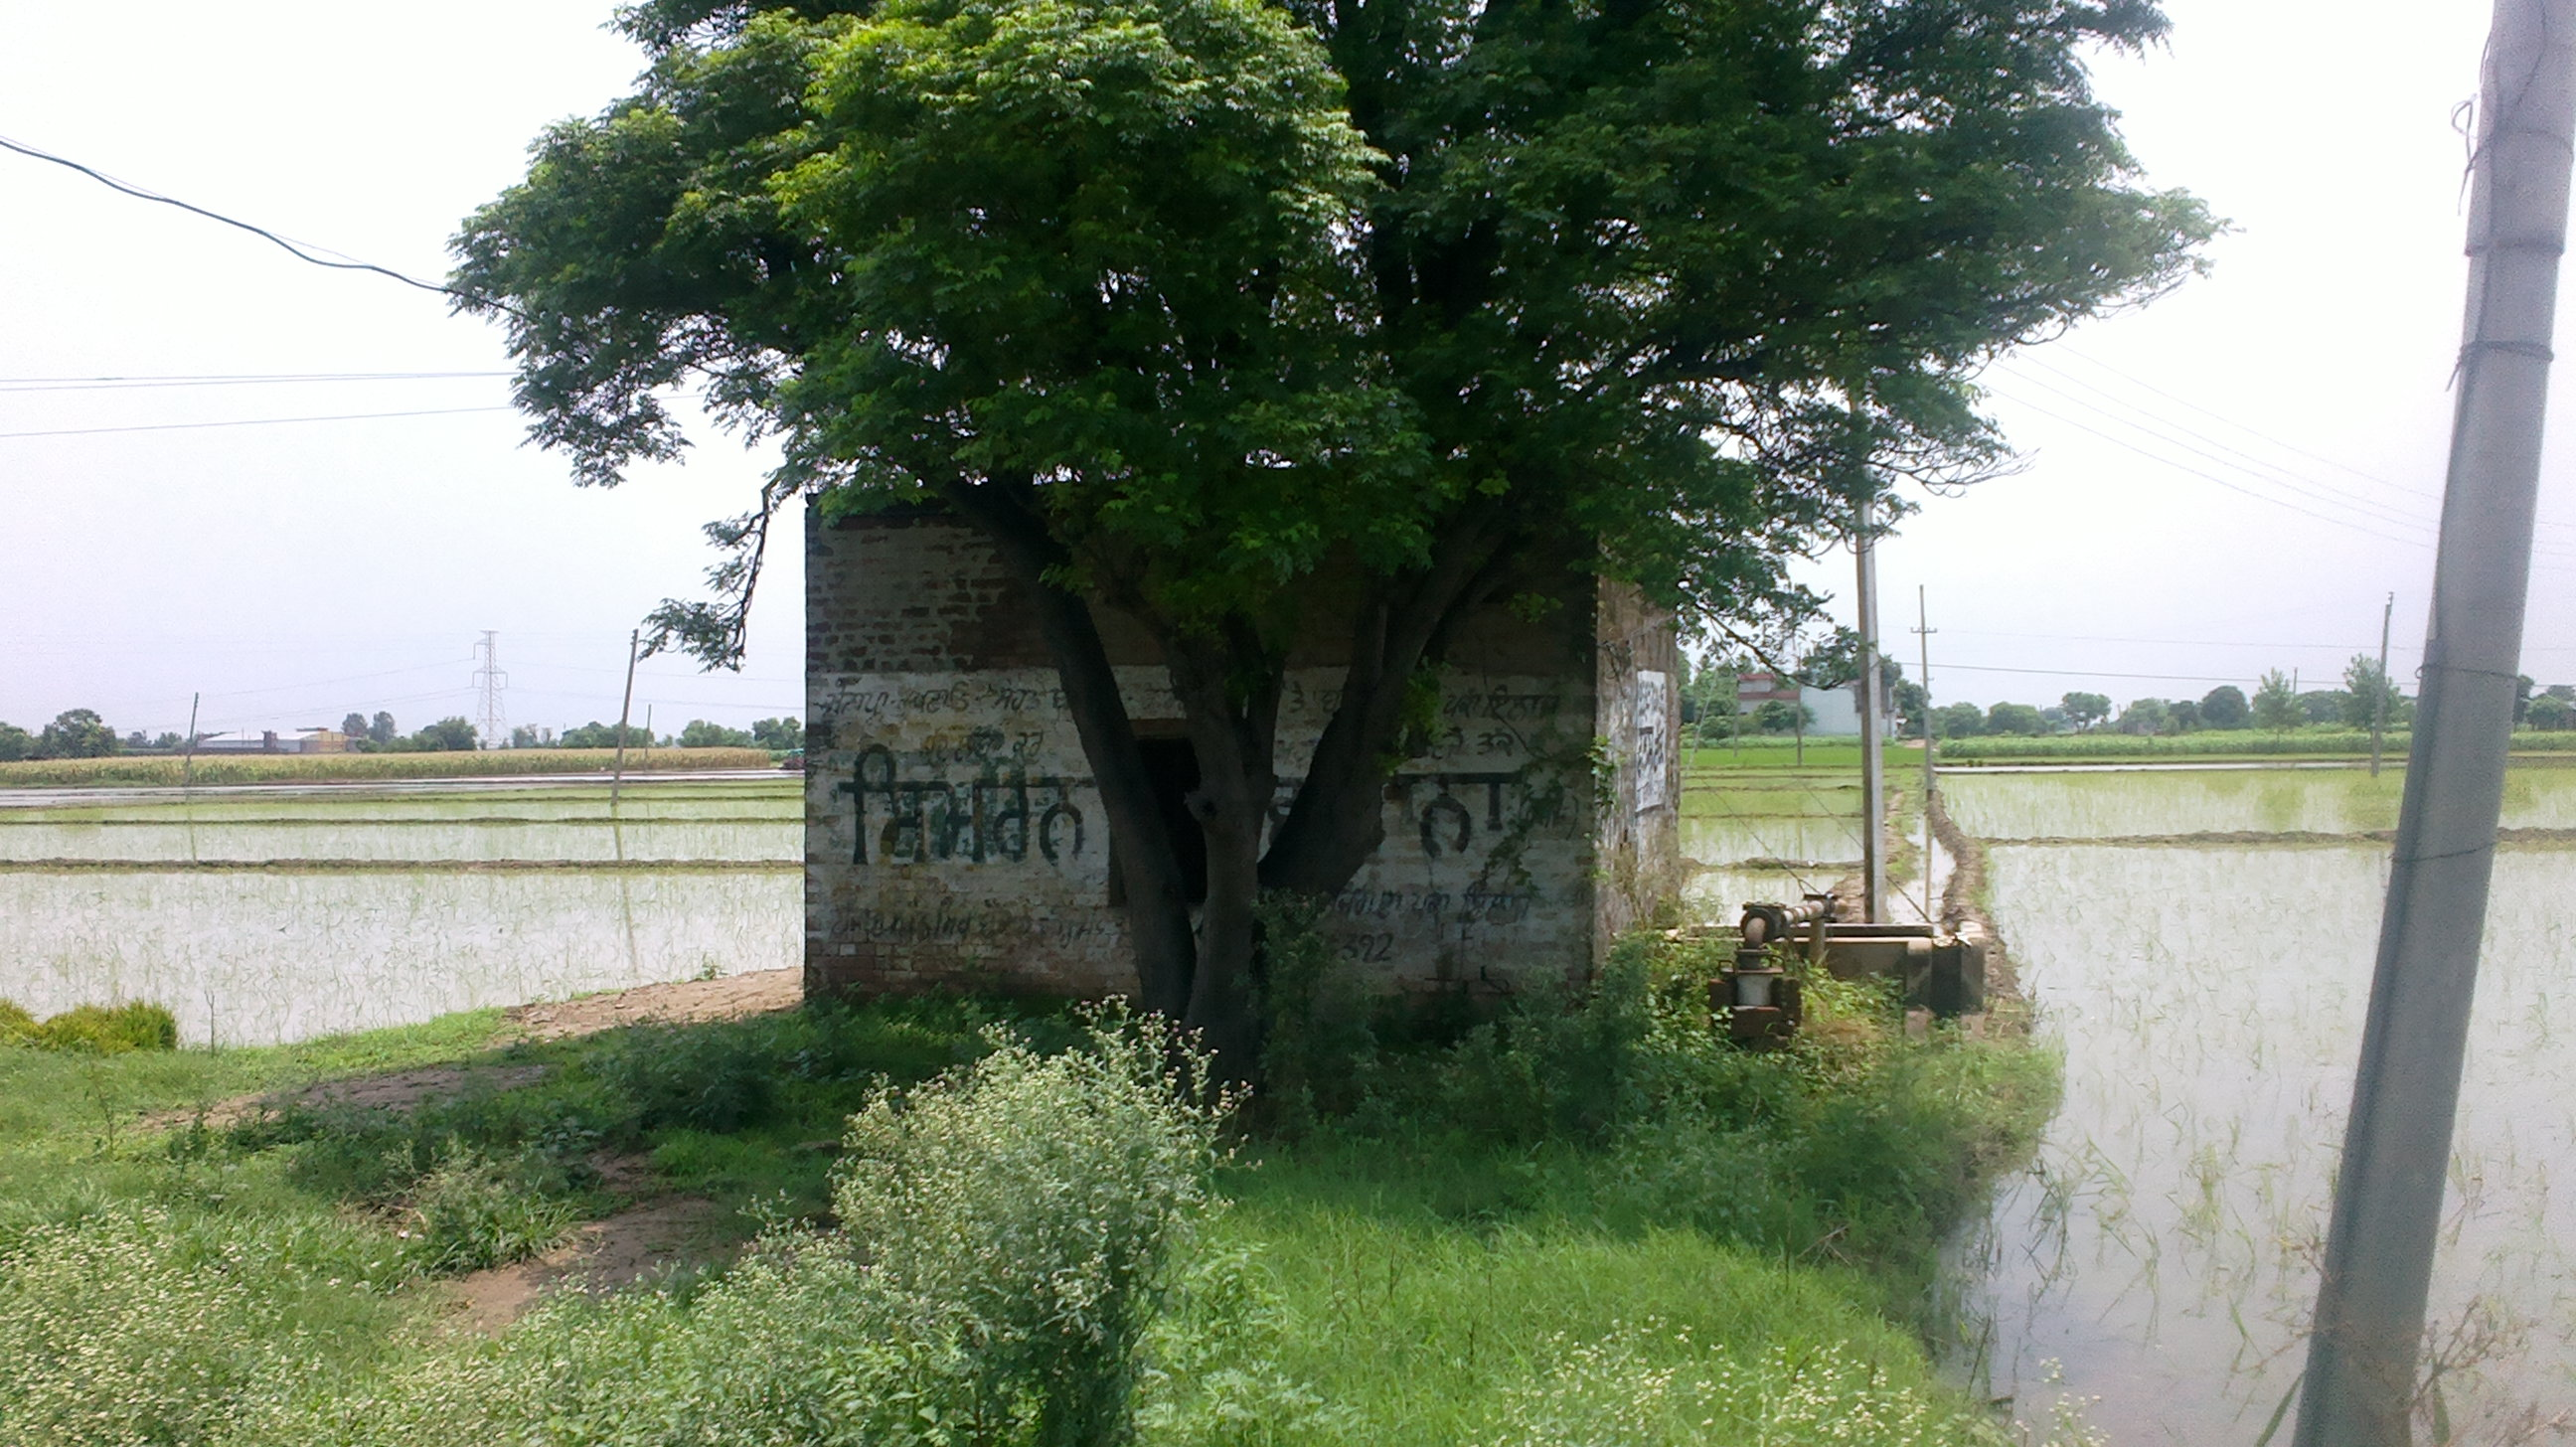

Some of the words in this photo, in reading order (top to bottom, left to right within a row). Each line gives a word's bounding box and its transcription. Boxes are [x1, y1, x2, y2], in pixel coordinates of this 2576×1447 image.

[833, 733, 1104, 875] ਸਿਮਰਨ
[1406, 762, 1531, 870] ਨਾ